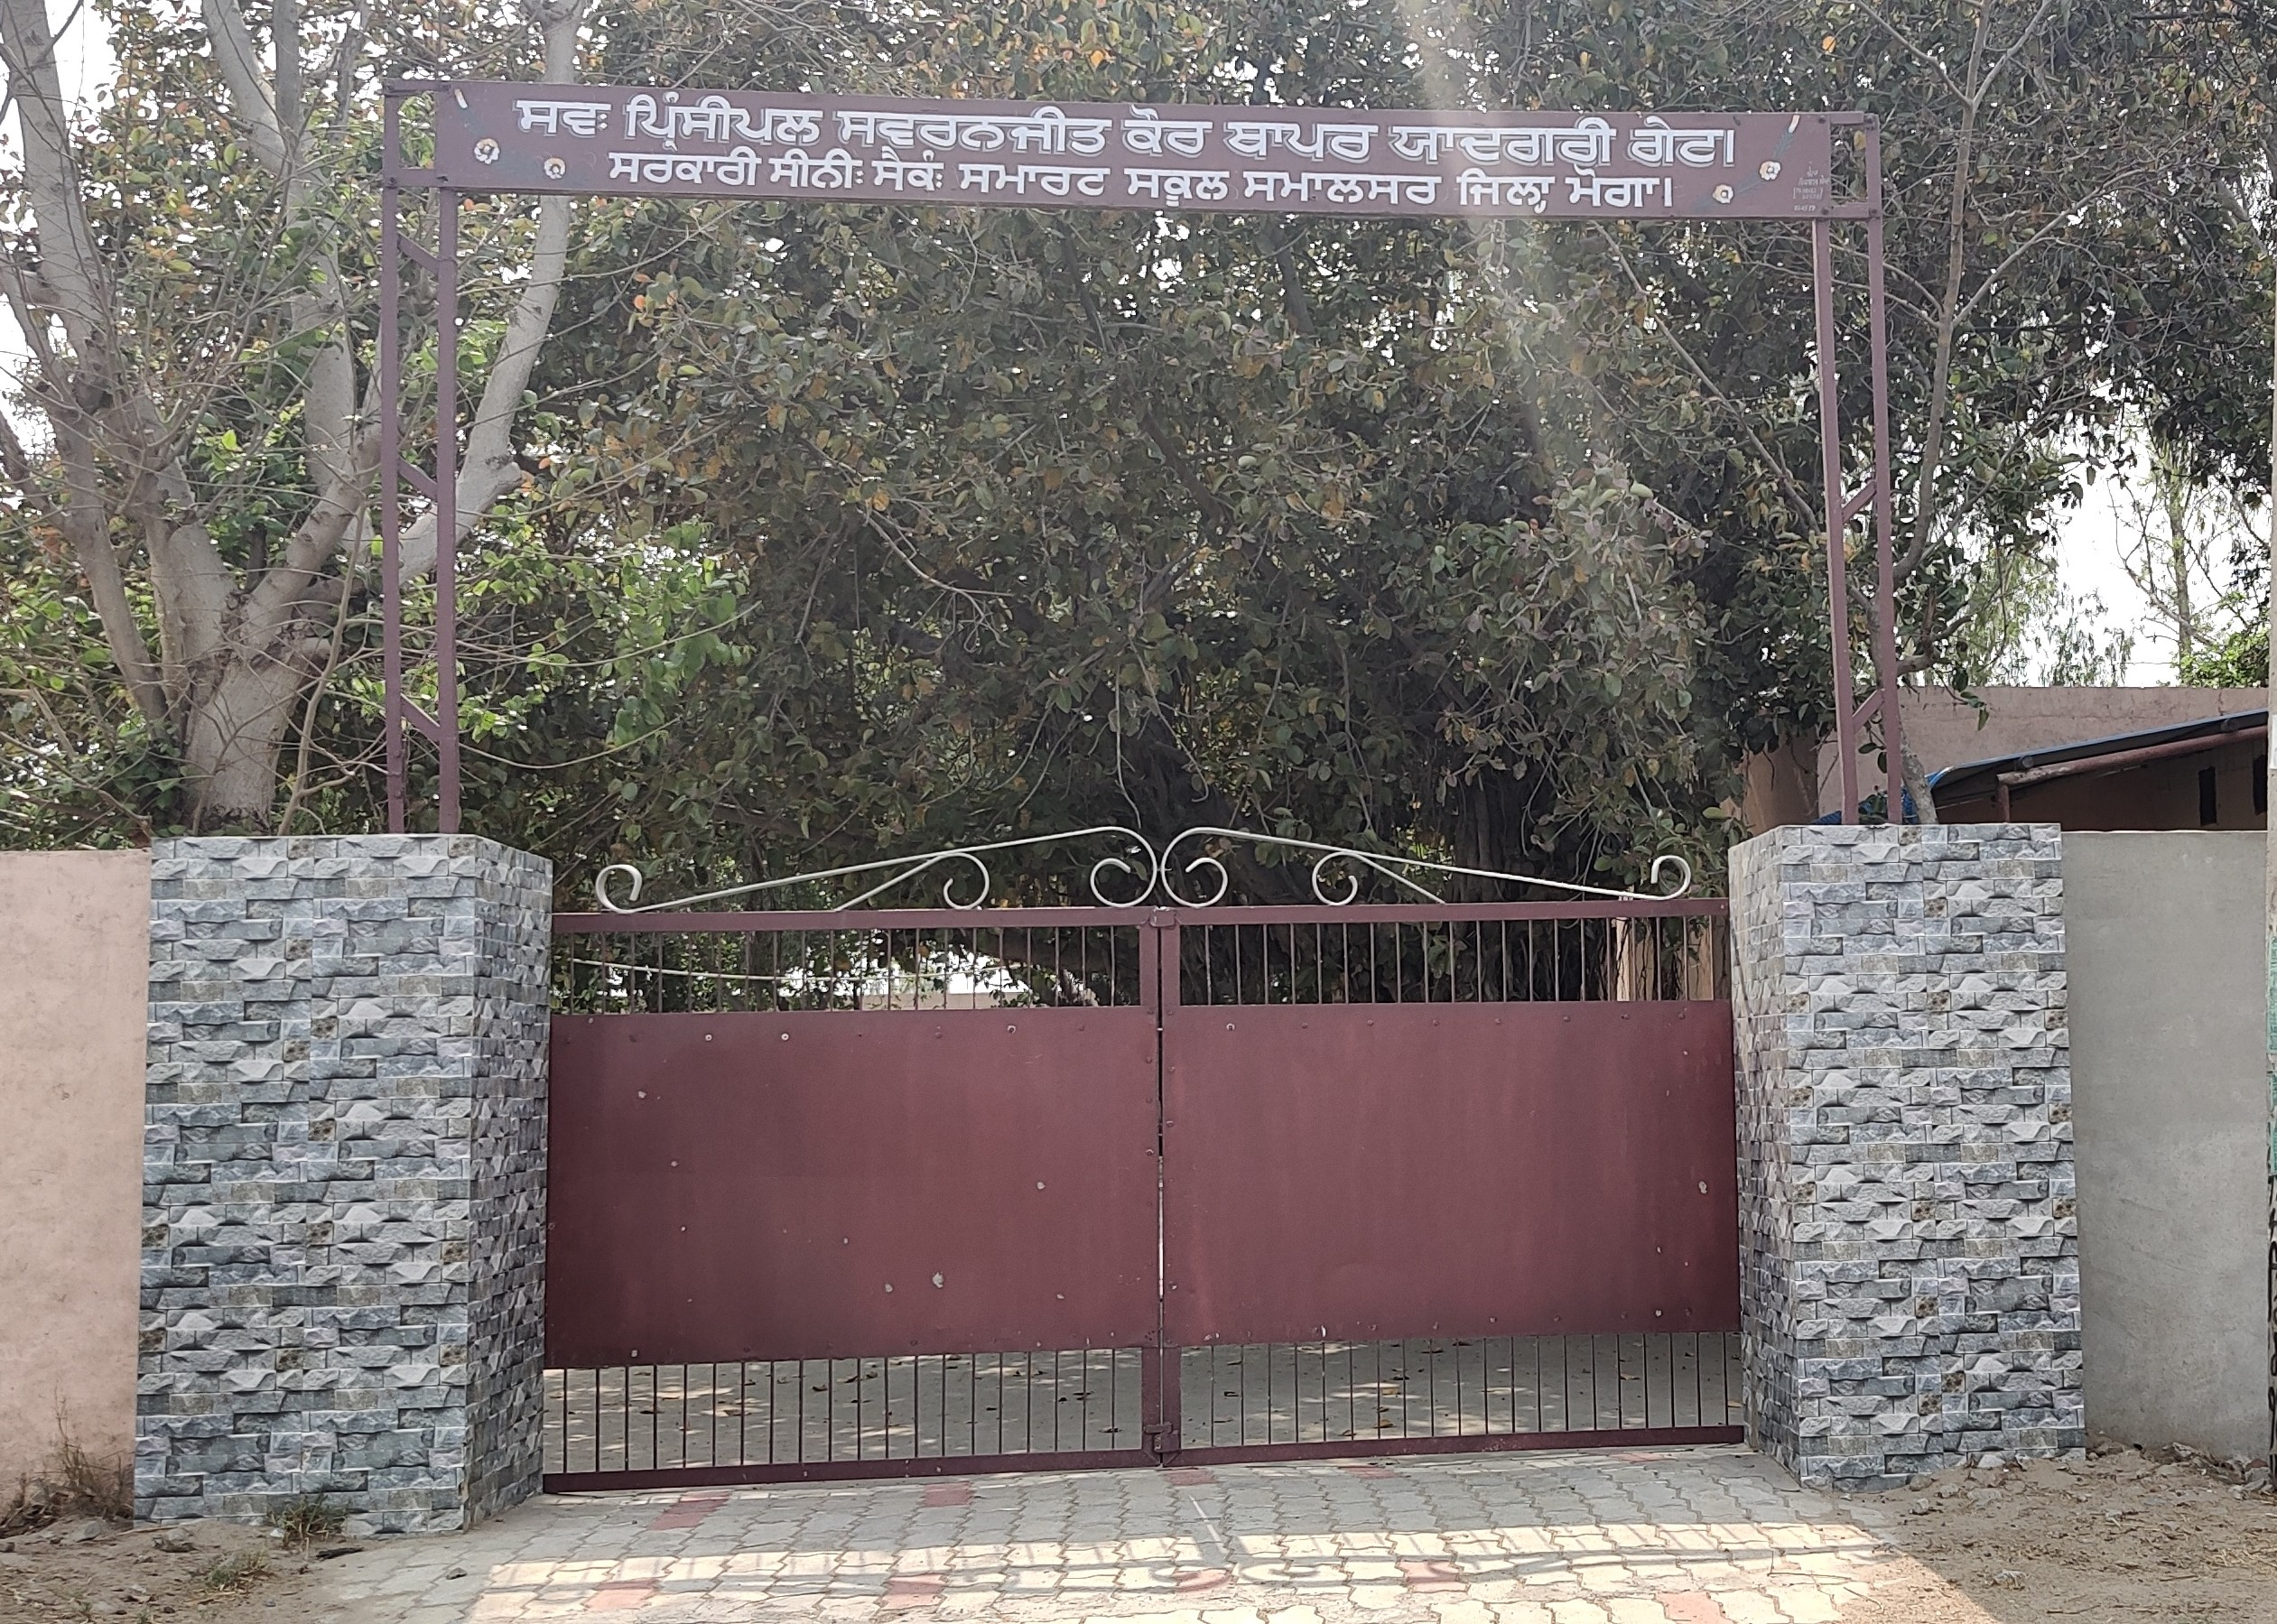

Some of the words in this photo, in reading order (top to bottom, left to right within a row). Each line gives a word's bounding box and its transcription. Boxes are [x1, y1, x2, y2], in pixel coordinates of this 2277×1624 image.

[502, 96, 617, 143] ਸਵ:
[599, 143, 767, 190] ਸਰਕਾਰੀ
[615, 90, 830, 152] ਪ੍ਰੀਿਸੀਪਲ
[764, 145, 867, 195] ਸੀਨੀ:
[867, 144, 951, 198] ਸੈਕੰ:
[829, 101, 1119, 161] ਸਵਰਨਜੀਤ
[953, 161, 1119, 200] ਸਮਾਰਟ
[1115, 101, 1219, 162] ਕੋਰ
[1115, 161, 1241, 209] ਸਕੂਲ
[1216, 116, 1382, 167] ਥਾਪਰ
[1238, 164, 1445, 212] ਸਮਾਲਸਰ
[1382, 111, 1621, 172] ਯਾਦਗਰੀ
[1450, 164, 1562, 214] ਜਿਲਾ
[1558, 162, 1664, 215] ਮੋਗਾ
[1619, 113, 1730, 172] ਗੇਟ